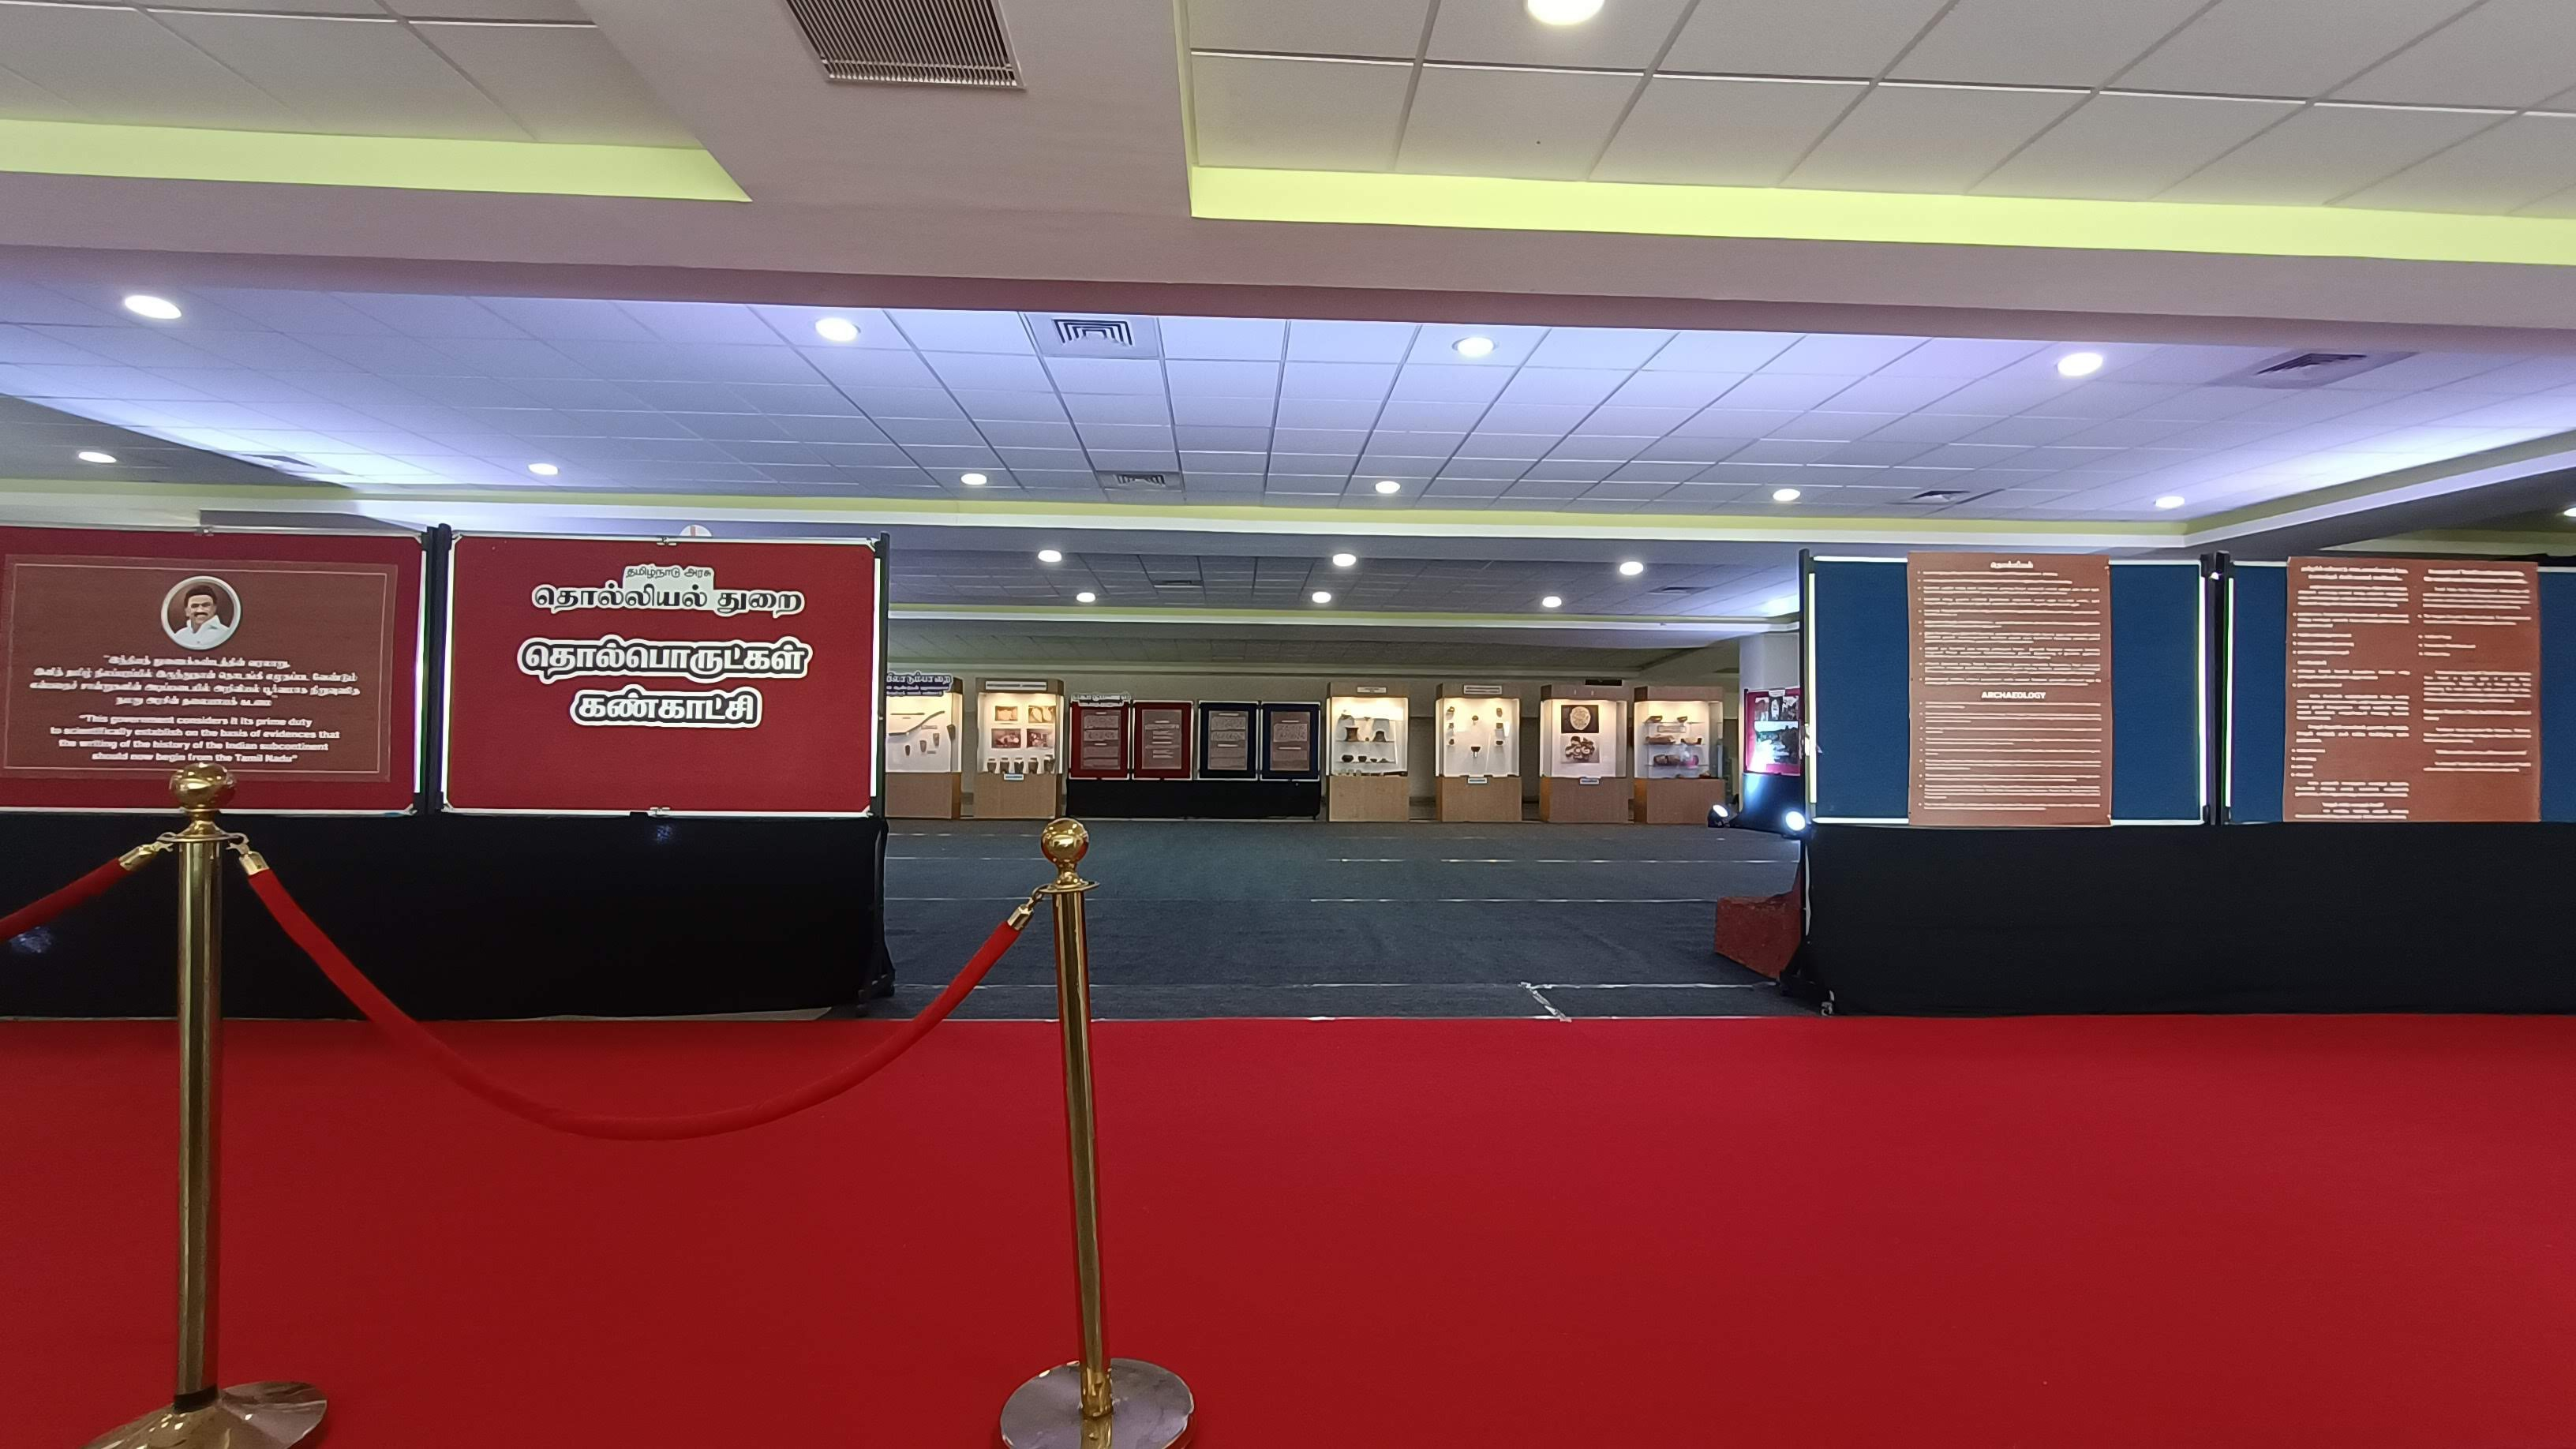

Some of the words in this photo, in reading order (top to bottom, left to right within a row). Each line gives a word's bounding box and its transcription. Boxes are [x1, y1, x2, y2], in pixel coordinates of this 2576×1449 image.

[618, 557, 687, 580] தமிழ்நாடு
[681, 564, 714, 582] அரசு
[530, 578, 710, 616] தொல்லியல்
[711, 584, 807, 624] துறை
[514, 627, 817, 685] தொல்பொருட்கள்
[567, 680, 768, 732] கண்காட்சி
[1977, 688, 2050, 701] ARCHAEOLOGY